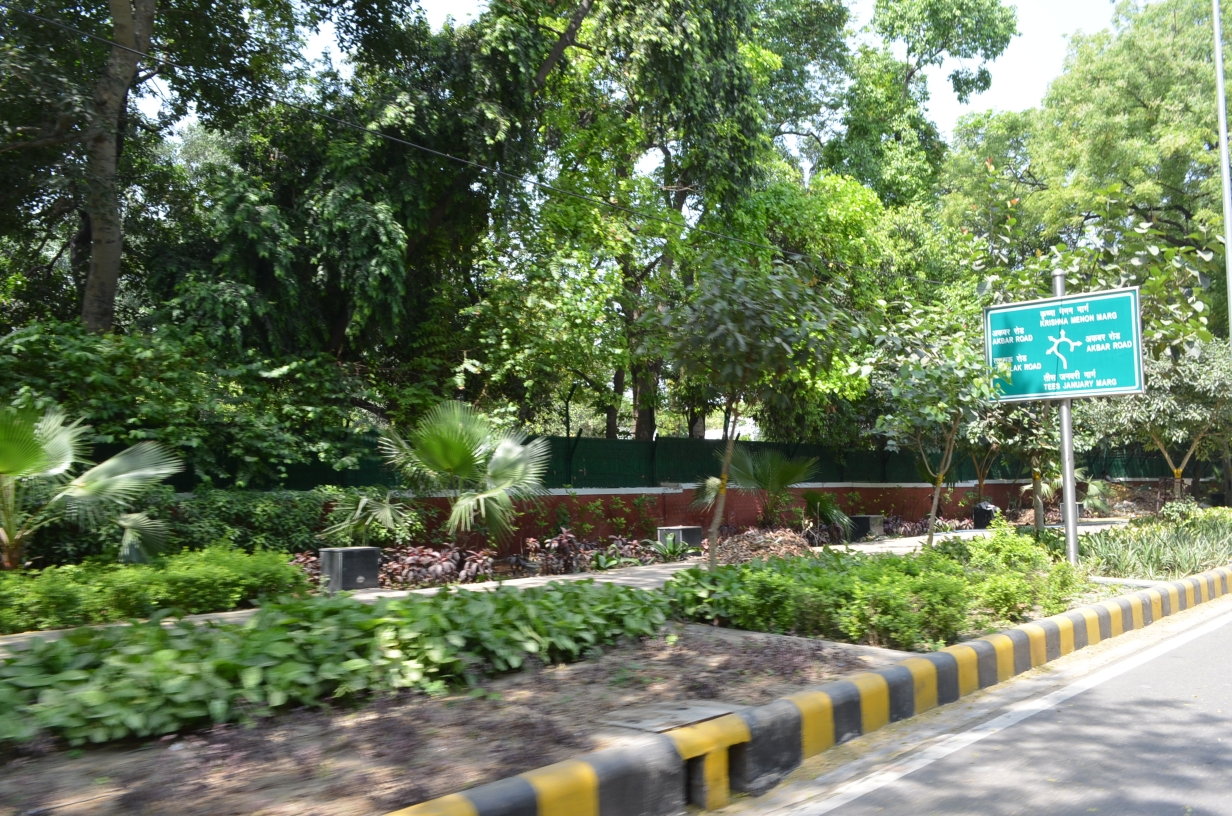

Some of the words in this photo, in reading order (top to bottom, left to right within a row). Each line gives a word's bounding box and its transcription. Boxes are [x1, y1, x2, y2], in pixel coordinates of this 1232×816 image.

[1033, 306, 1059, 323] कृष्णा
[1037, 316, 1069, 329] KRISHNA
[1057, 304, 1075, 317] मनन
[1067, 312, 1097, 327] MENON
[1074, 301, 1093, 316] मार्ग
[1095, 308, 1121, 323] MARG
[990, 327, 1013, 339] अकबर
[989, 335, 1015, 347] AKBAR
[1011, 324, 1029, 338] रोड
[1013, 331, 1036, 347] ROAD
[1081, 332, 1109, 345] अकबर
[1084, 339, 1112, 354] AKBAR
[1105, 327, 1123, 341] रोड
[1111, 337, 1135, 351] ROAD
[1013, 350, 1031, 364] रोड
[1021, 360, 1045, 373] ROAD
[1039, 367, 1059, 384] तीस
[1058, 365, 1084, 382] जनवरी
[1080, 365, 1099, 382] मार्ग